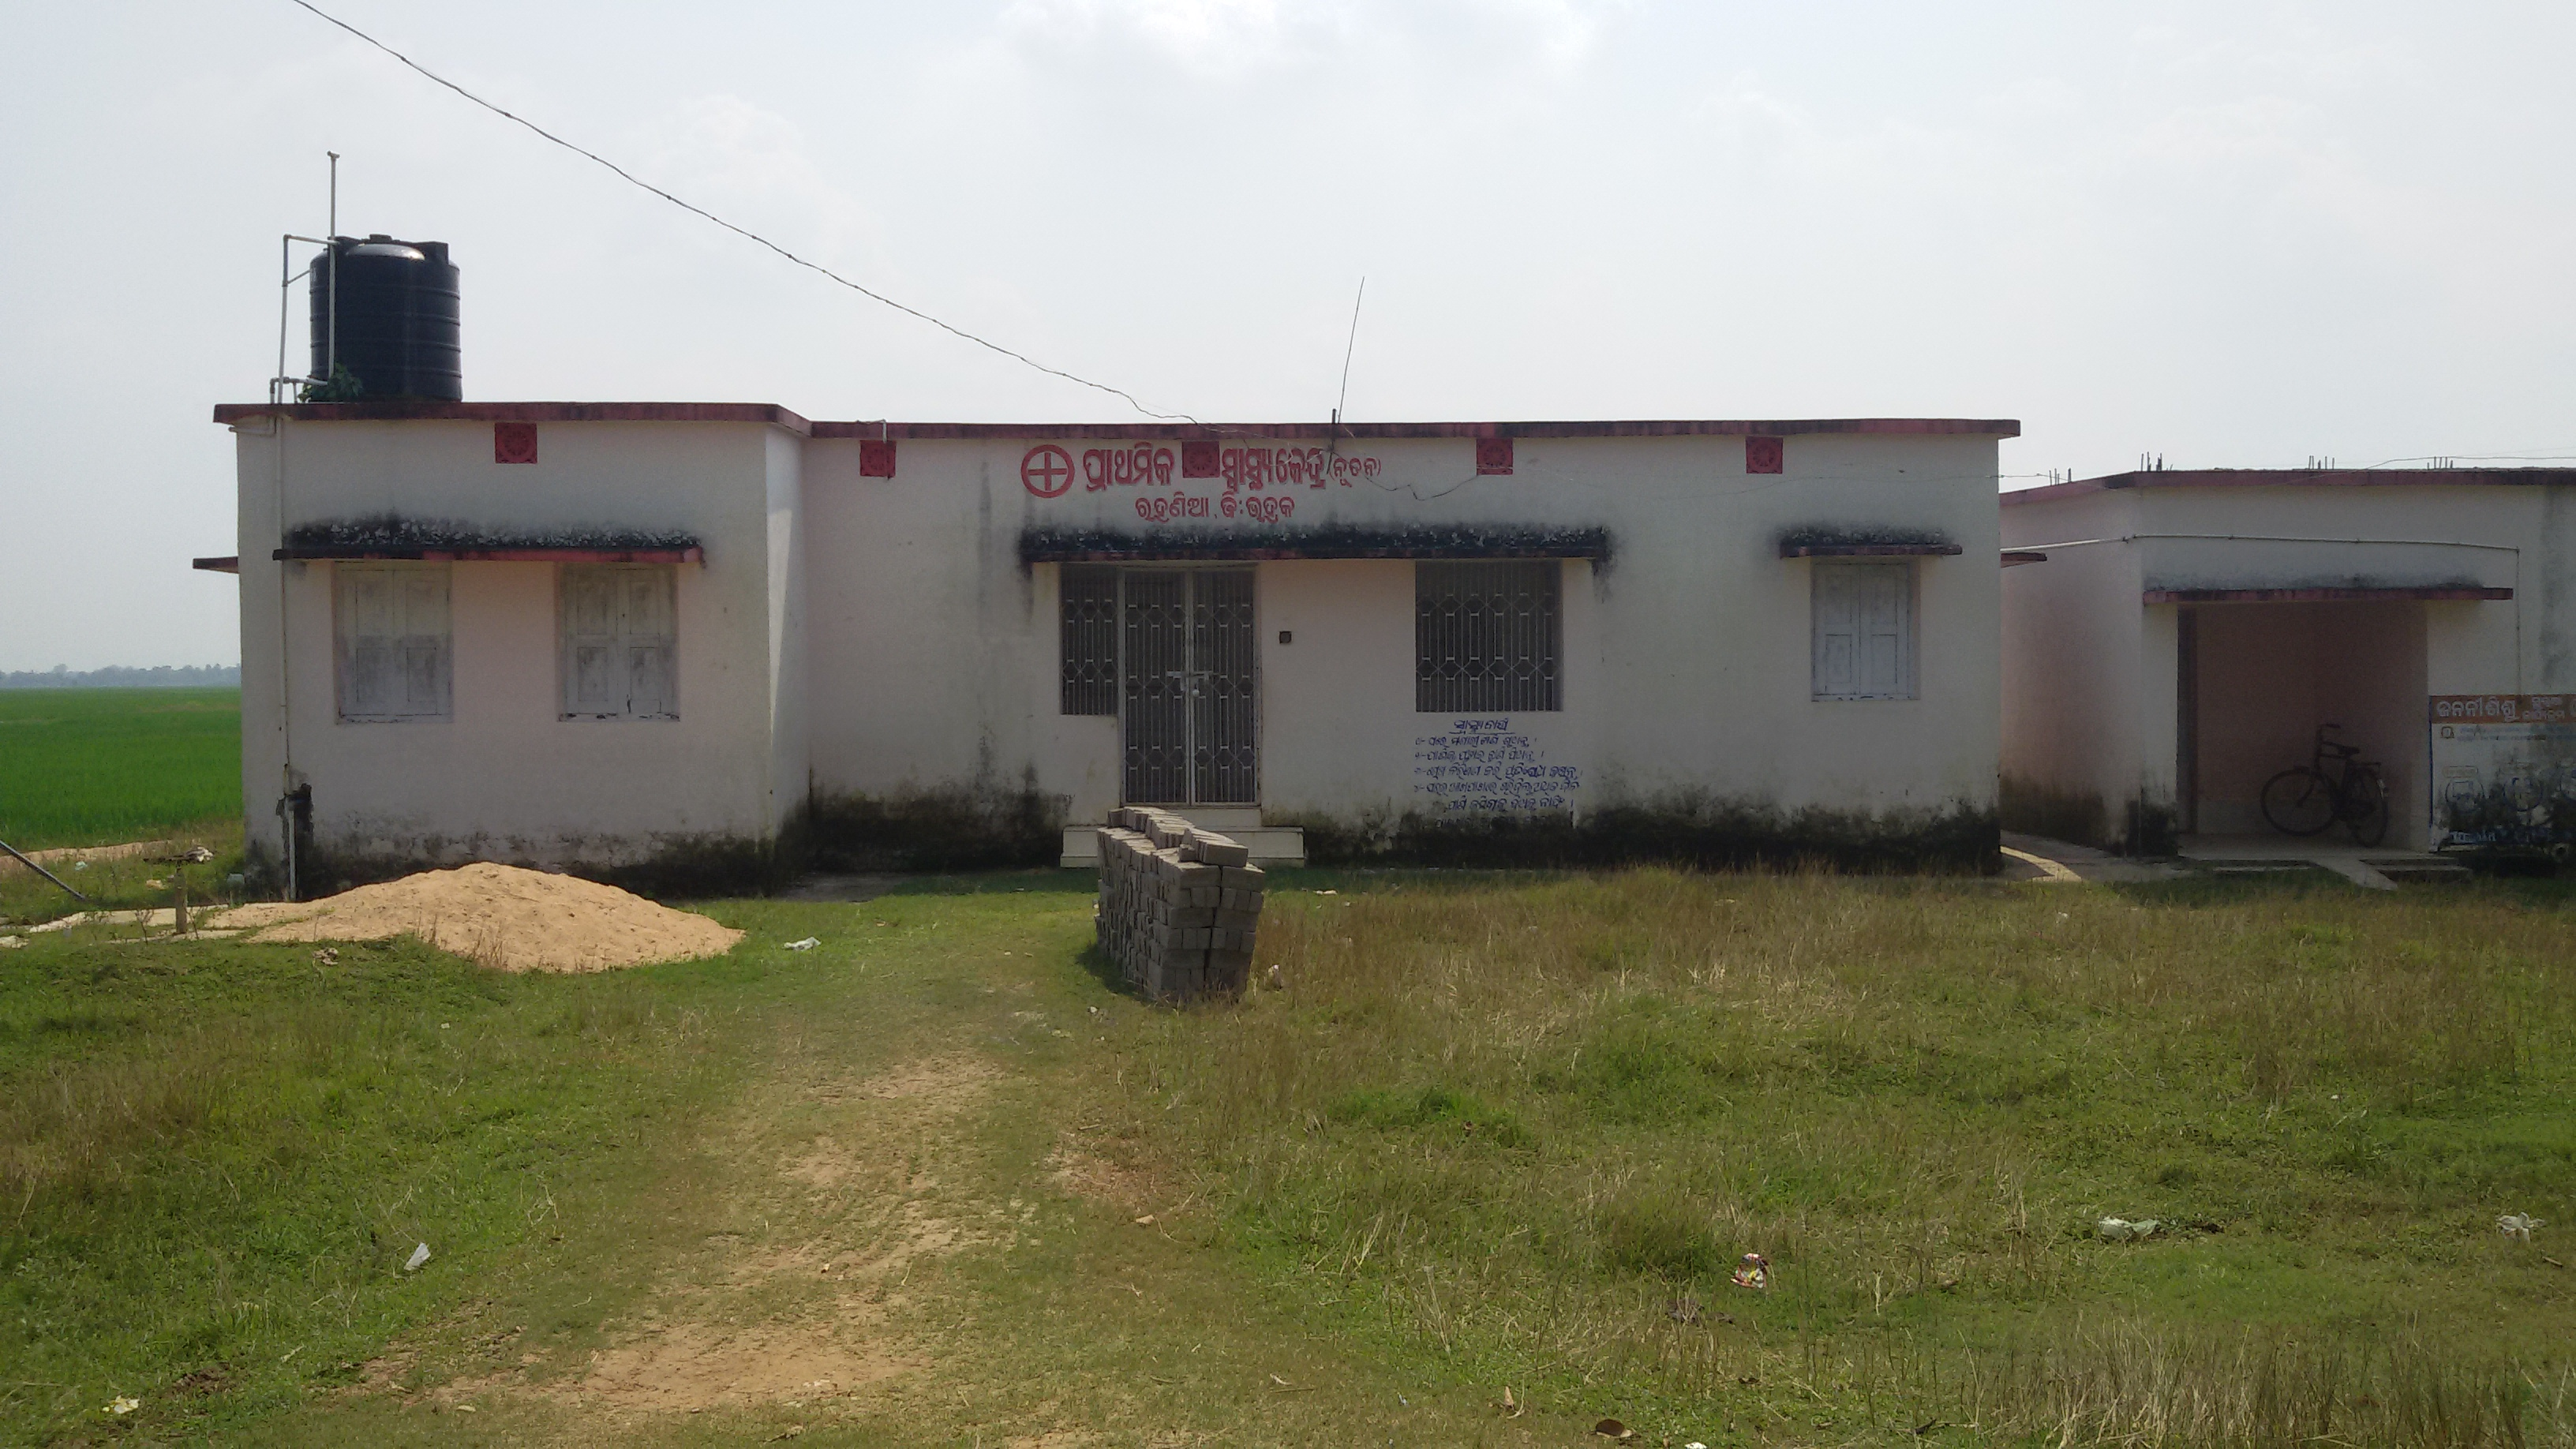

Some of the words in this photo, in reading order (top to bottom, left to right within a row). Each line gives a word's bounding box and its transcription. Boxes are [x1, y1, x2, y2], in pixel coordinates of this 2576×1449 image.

[1076, 437, 1178, 496] ପ୍ରାଥମିକ
[1219, 440, 1330, 498] ସ୍ବାସ୍ଥ୍ୟକେତୁ
[1325, 450, 1380, 492] ନୂଚନ
[1133, 488, 1214, 526] ରଦୁଣିଆ
[1216, 489, 1299, 527] ଵି:ଭଦ୍ରକ
[2432, 692, 2520, 725] ଜଳନାଁ ଶିଶୁ